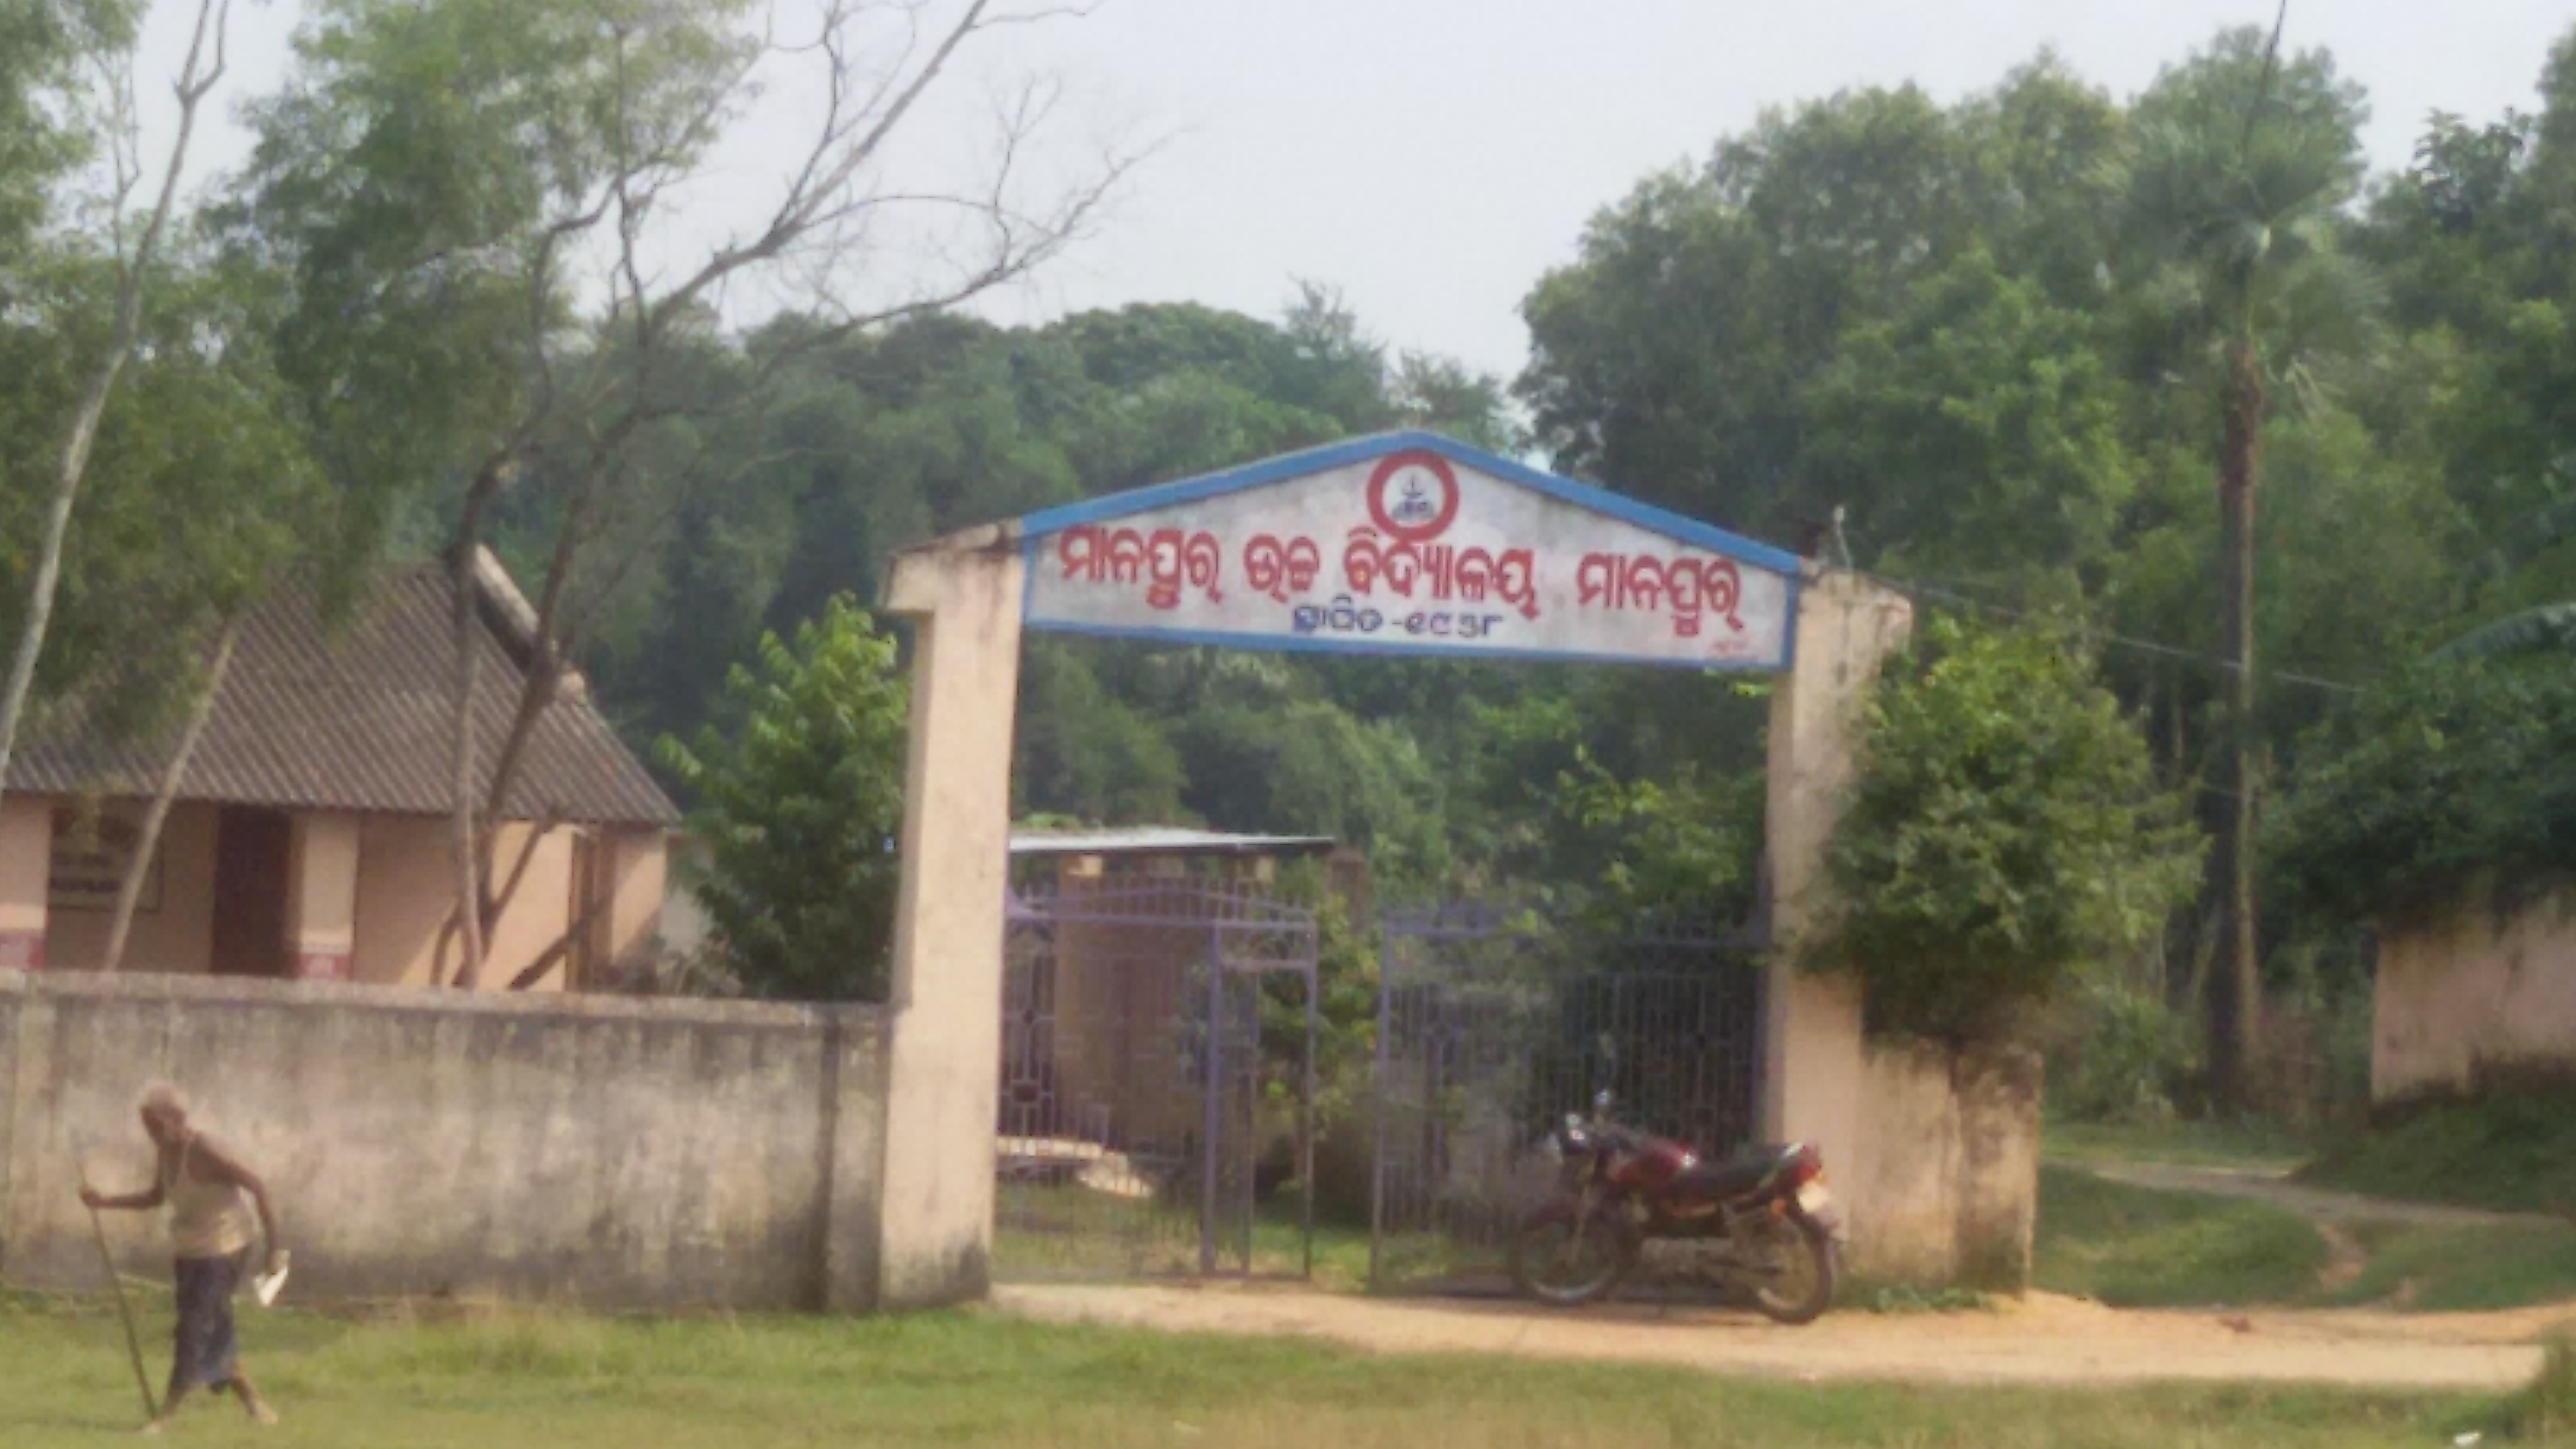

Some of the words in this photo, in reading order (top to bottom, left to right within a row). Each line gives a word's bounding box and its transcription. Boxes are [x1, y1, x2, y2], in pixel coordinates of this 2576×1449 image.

[1046, 508, 1229, 620] ମାନପୁର
[1227, 514, 1327, 612] ଉଚ୍ଚ
[1335, 521, 1545, 628] ବିଦ୍ୟାଳୟ
[1401, 594, 1511, 646] ୧୯୬୮
[1563, 532, 1751, 648] ମାନପୁର୍